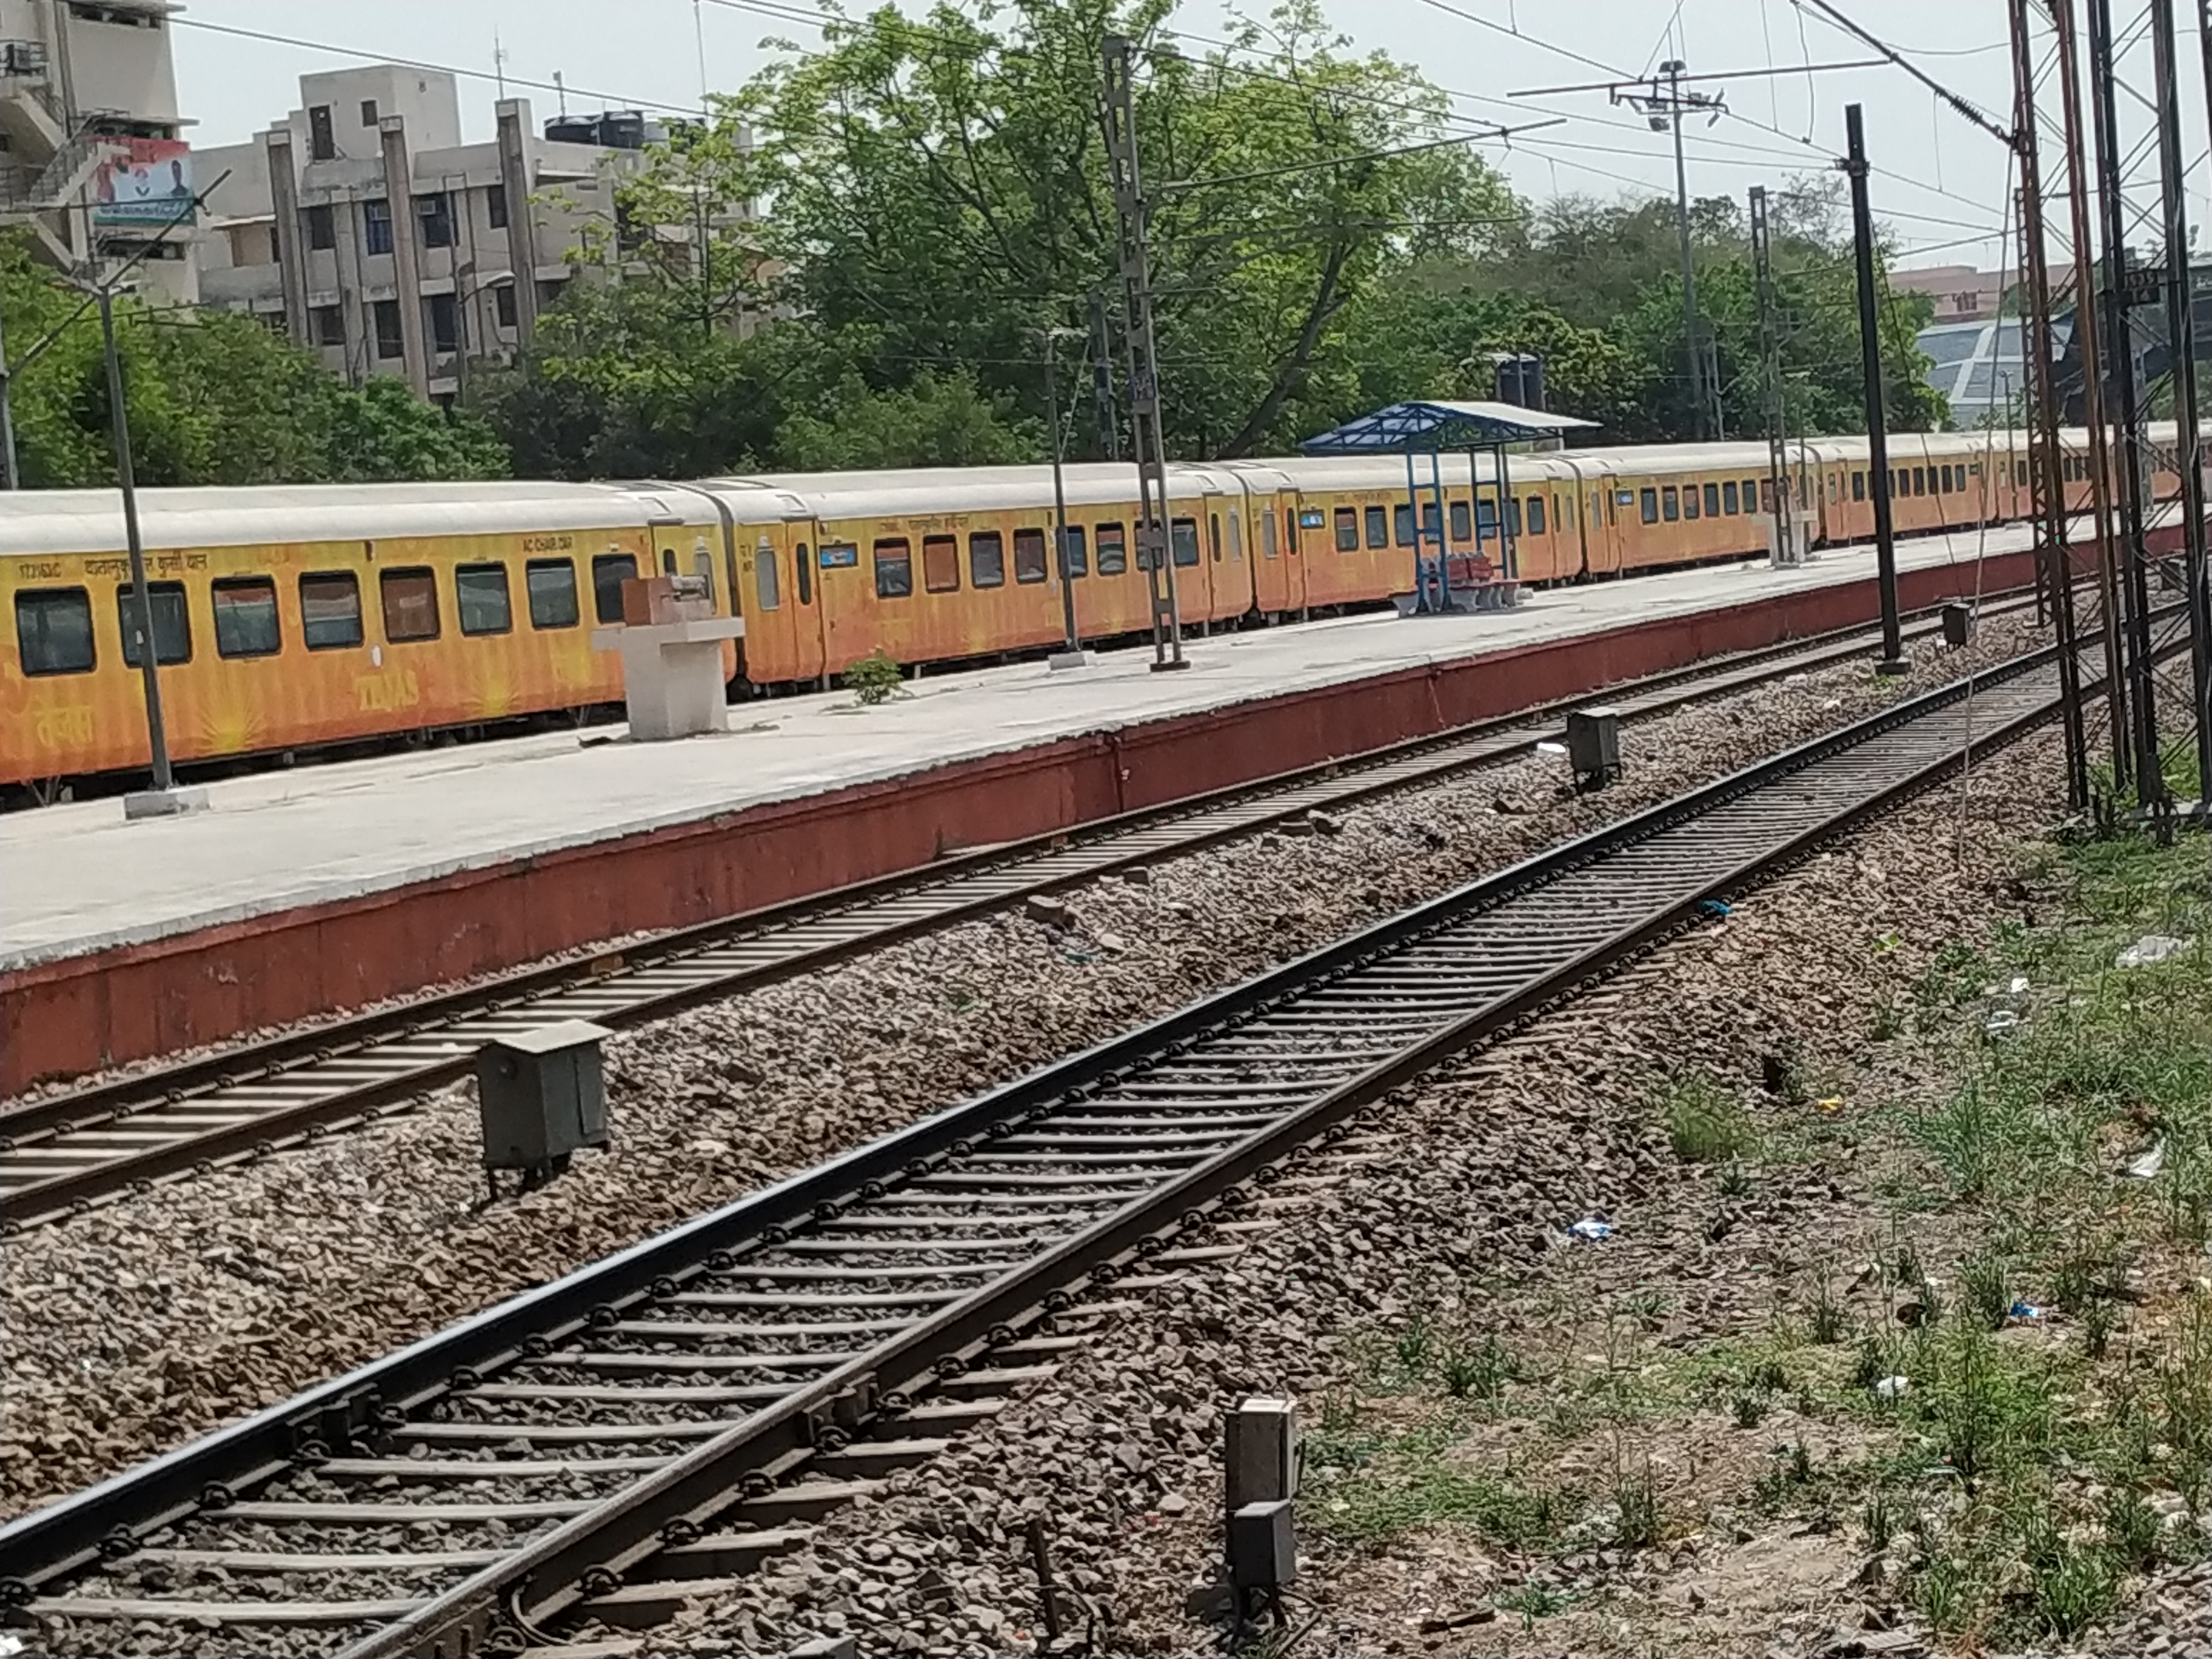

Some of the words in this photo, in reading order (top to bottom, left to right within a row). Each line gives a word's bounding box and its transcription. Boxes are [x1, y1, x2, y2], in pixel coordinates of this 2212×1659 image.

[81, 555, 155, 582] वातानुकू
[155, 547, 185, 578] कुर्सी
[184, 553, 207, 572] यान